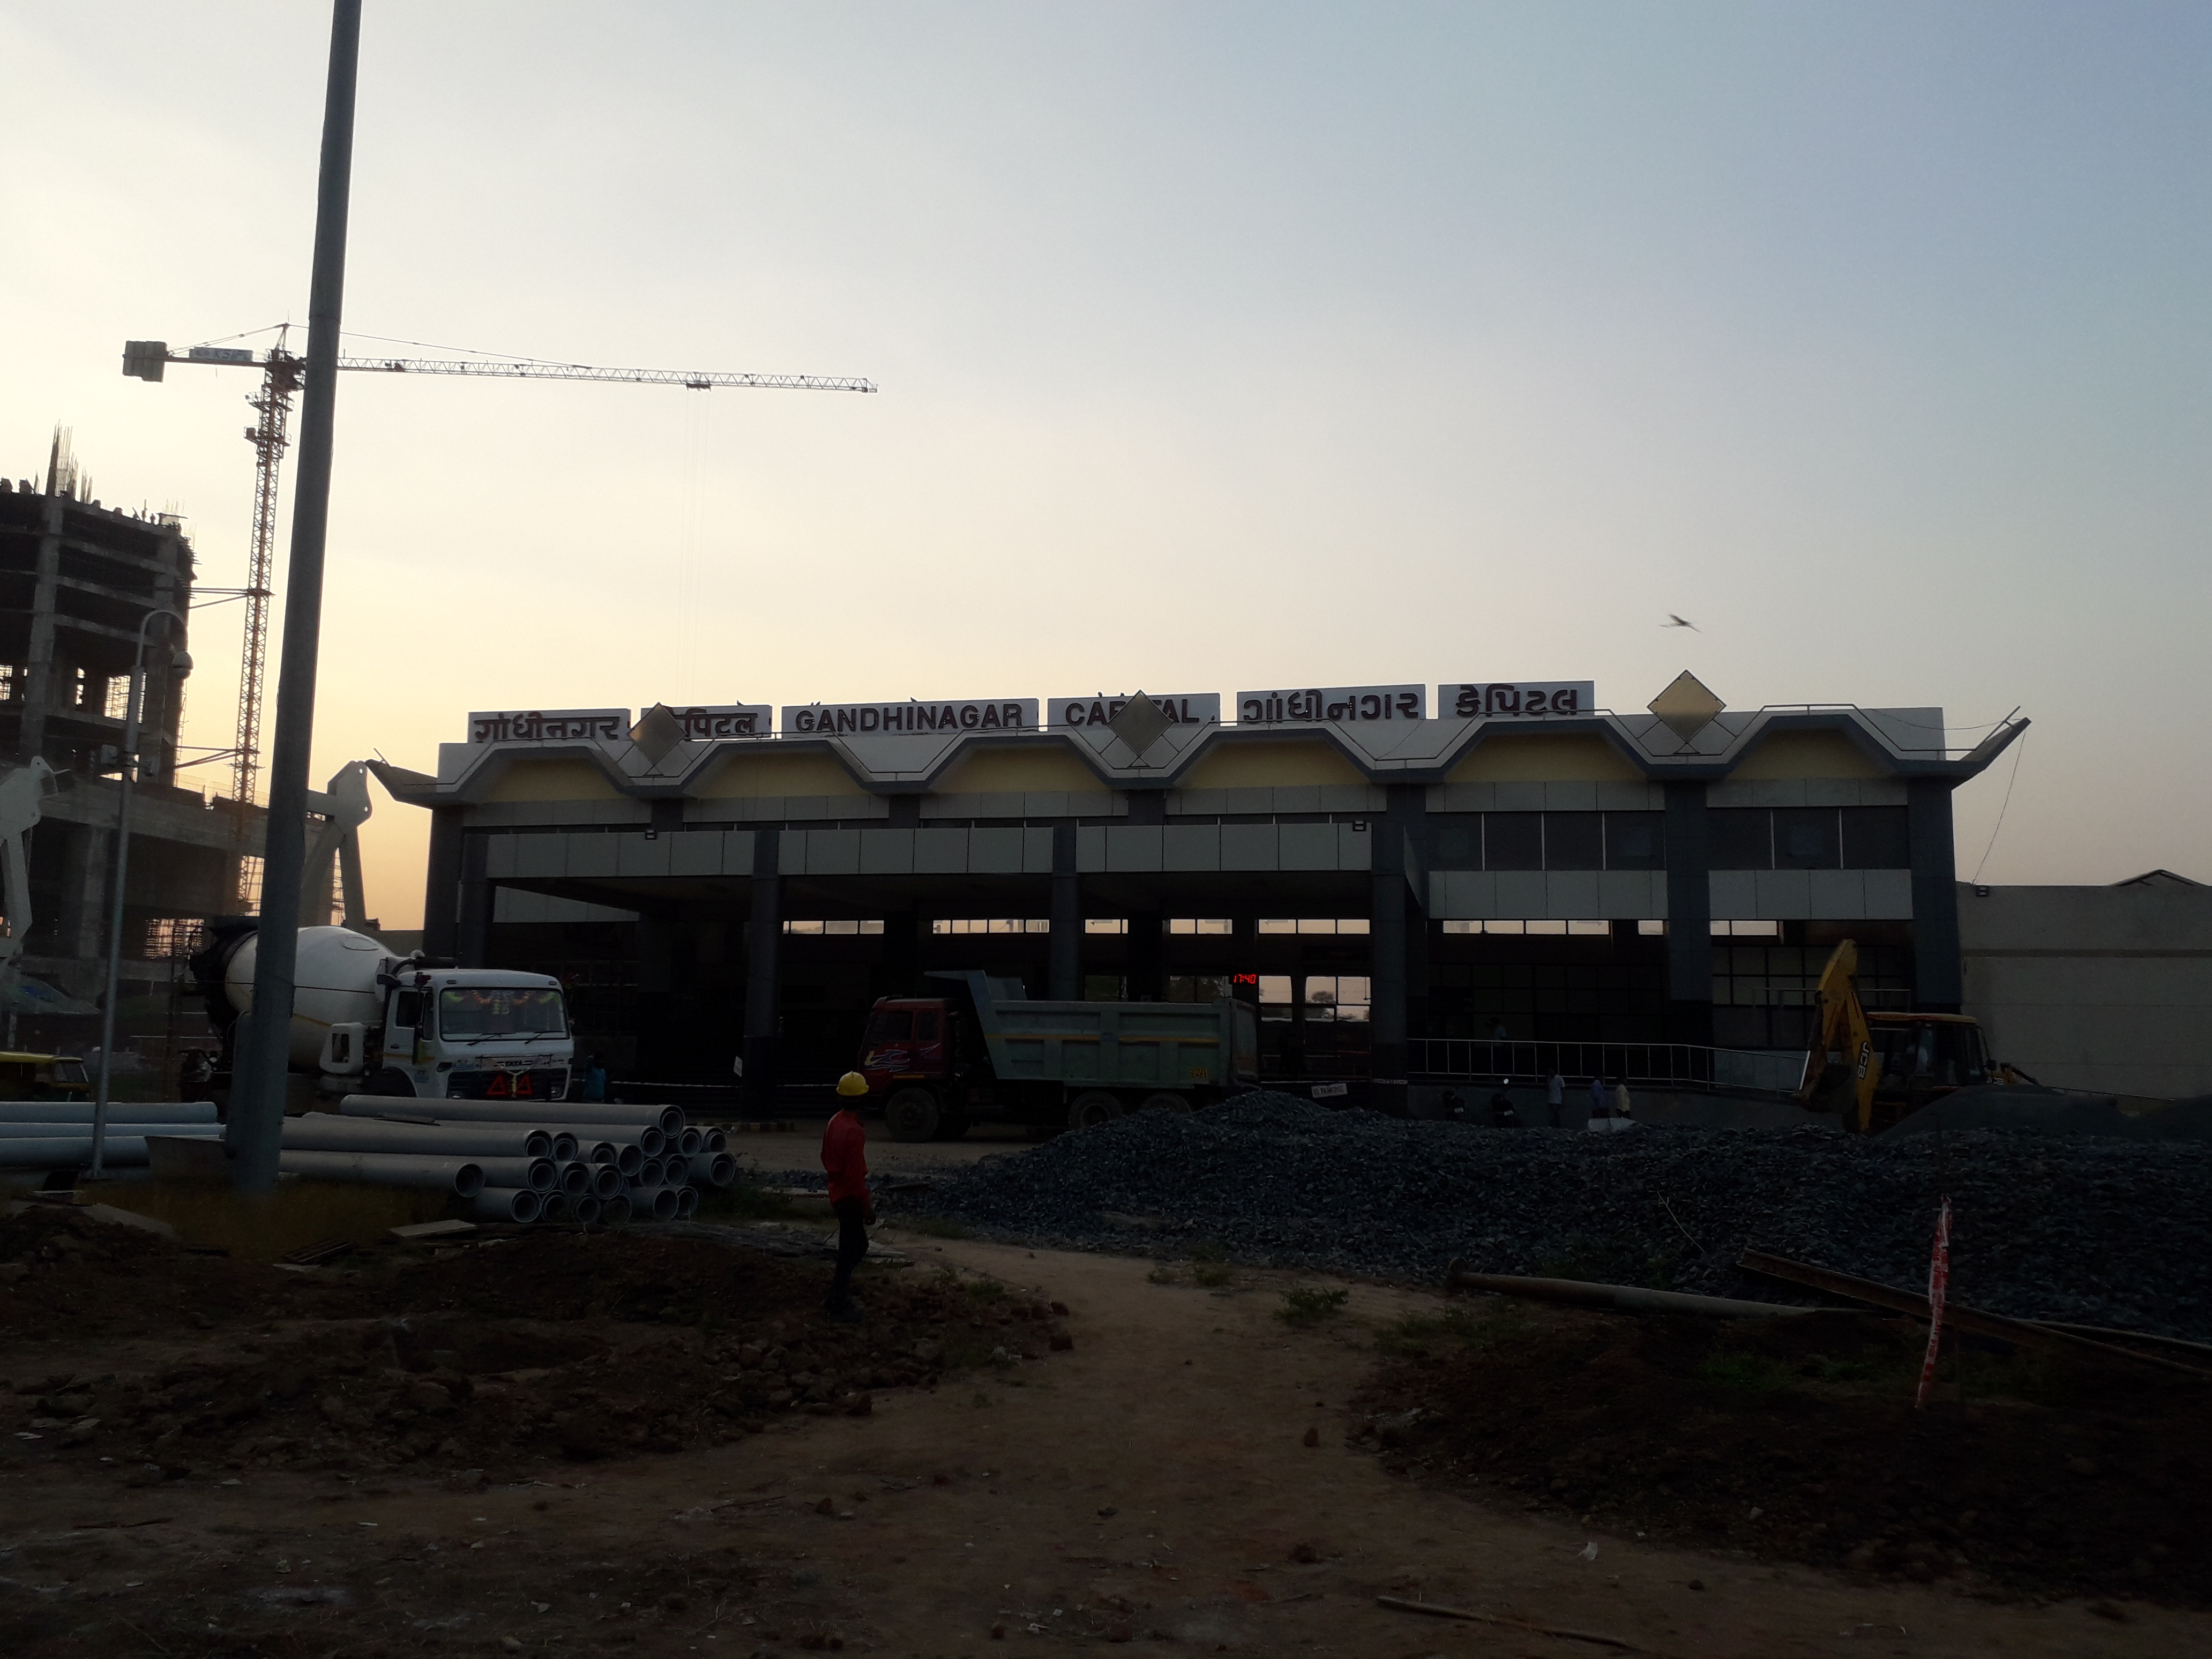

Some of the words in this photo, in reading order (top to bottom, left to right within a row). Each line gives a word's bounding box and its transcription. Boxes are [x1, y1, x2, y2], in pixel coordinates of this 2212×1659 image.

[467, 705, 628, 746] गांधीनगर
[677, 707, 764, 744] पिटल
[791, 699, 1027, 738] GANDHINAGAR
[1058, 697, 1105, 732] CA
[1178, 696, 1202, 726] L
[1239, 687, 1422, 726] ગાંધીનગર
[1448, 678, 1584, 720] કેપિટલ
[1228, 971, 1259, 986] 17:40
[1851, 1040, 1873, 1085] JCB